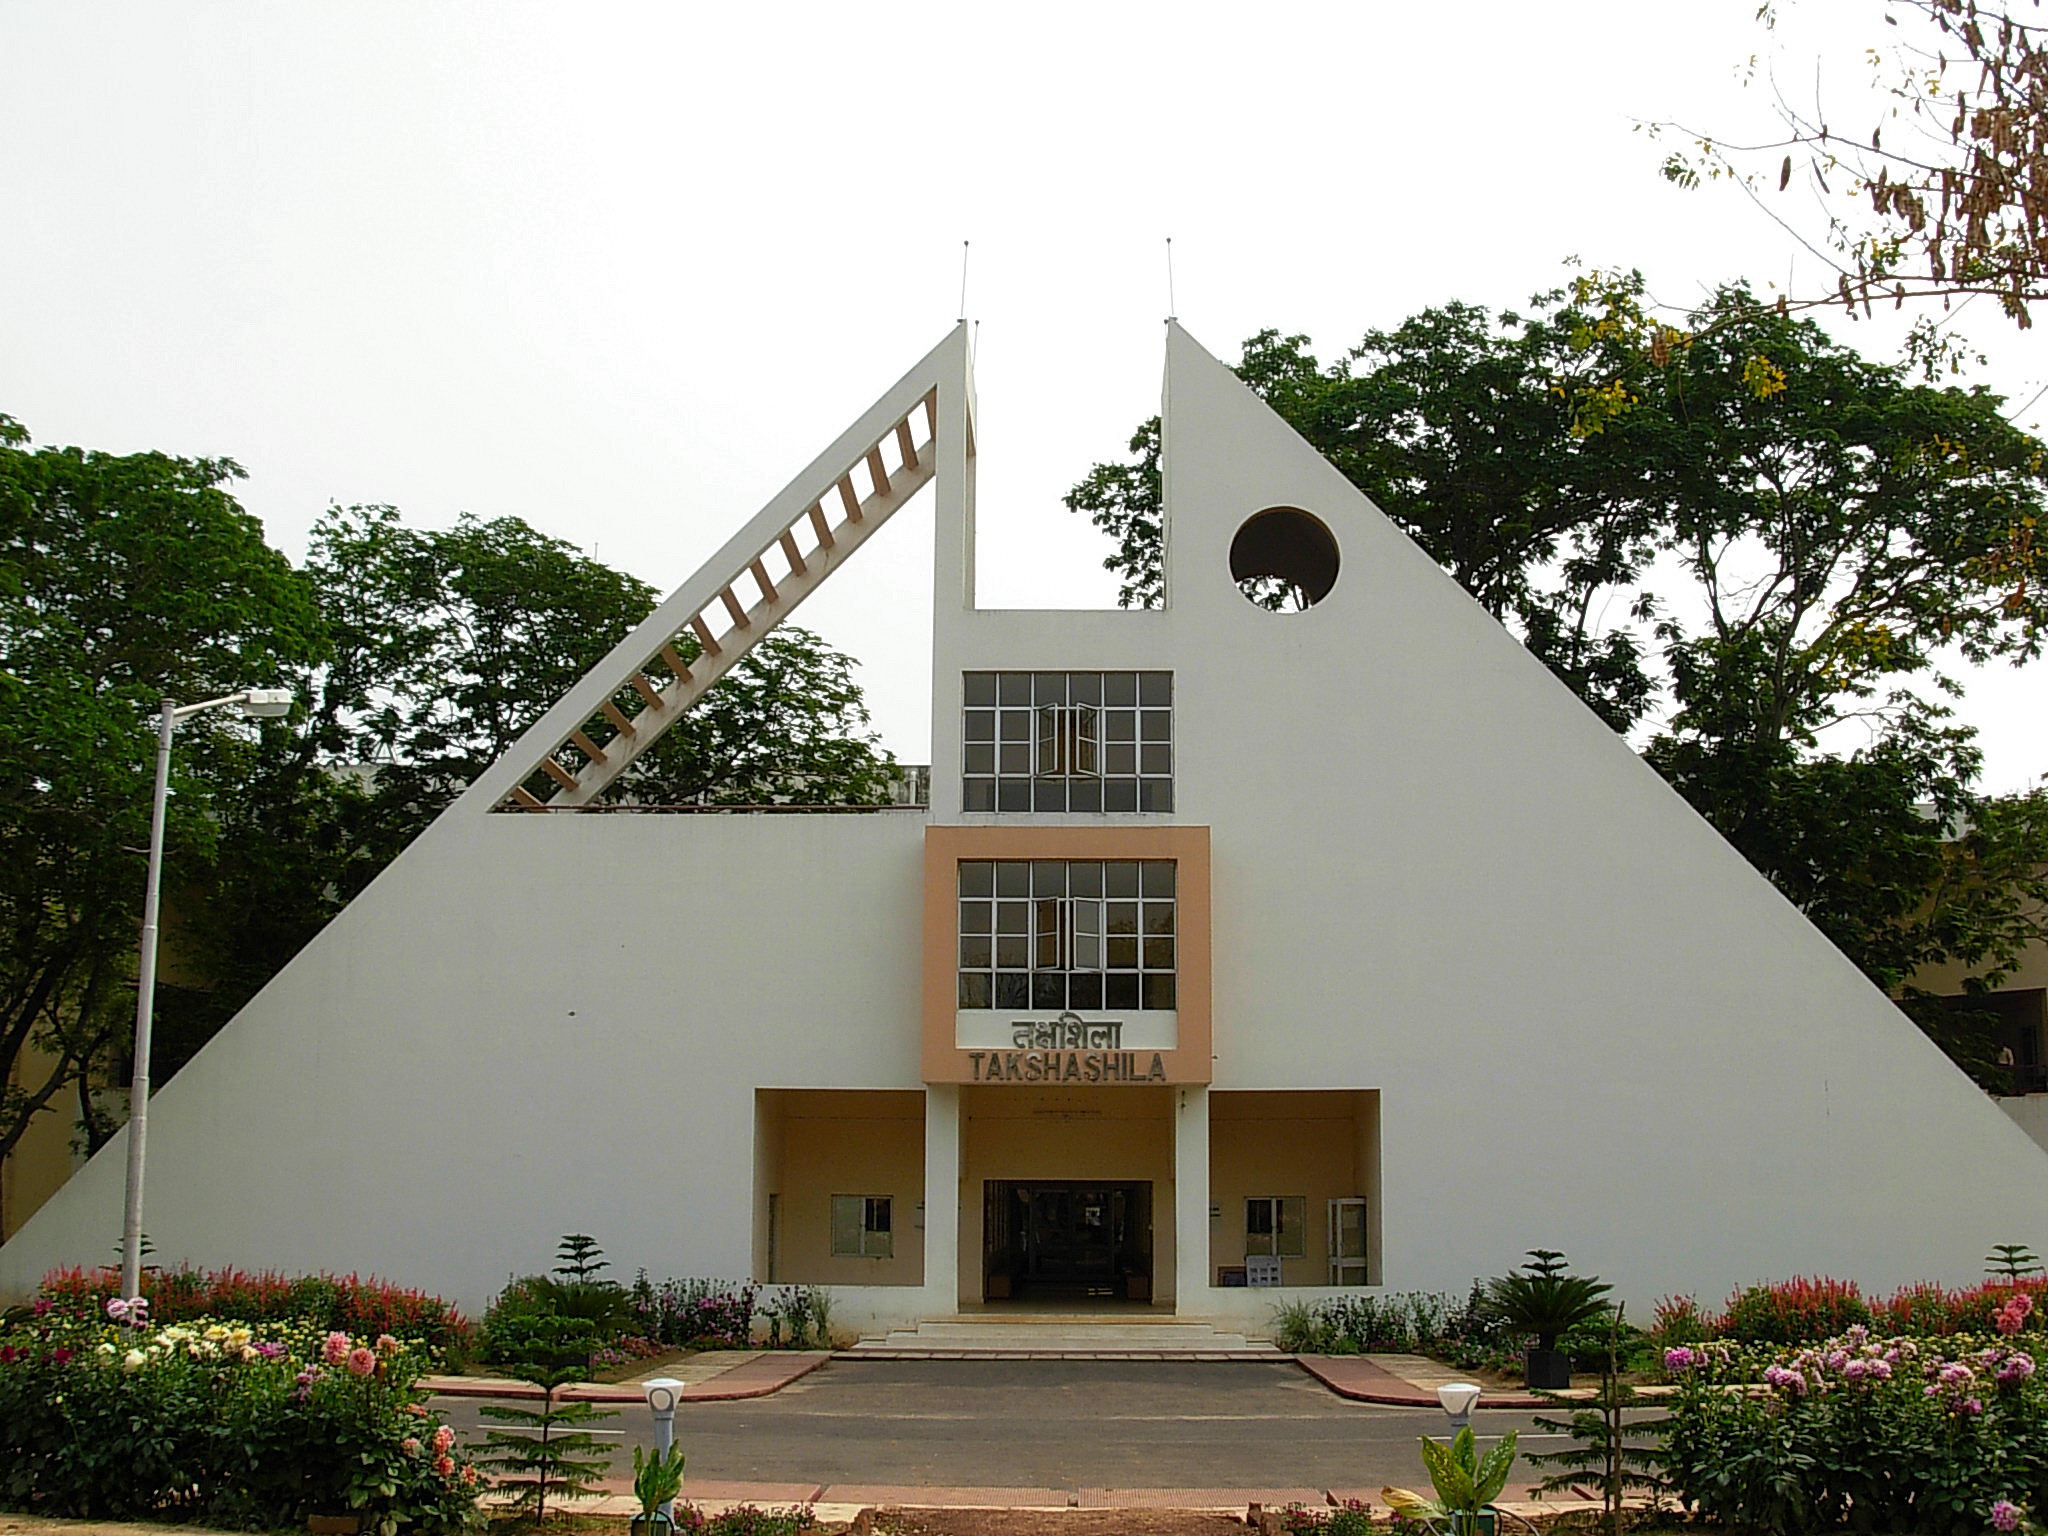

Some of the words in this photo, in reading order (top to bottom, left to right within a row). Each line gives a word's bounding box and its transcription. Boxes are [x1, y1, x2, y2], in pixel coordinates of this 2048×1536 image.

[1011, 1007, 1126, 1052] तक्षशिला
[969, 1050, 1169, 1083] TAKSHASHILA